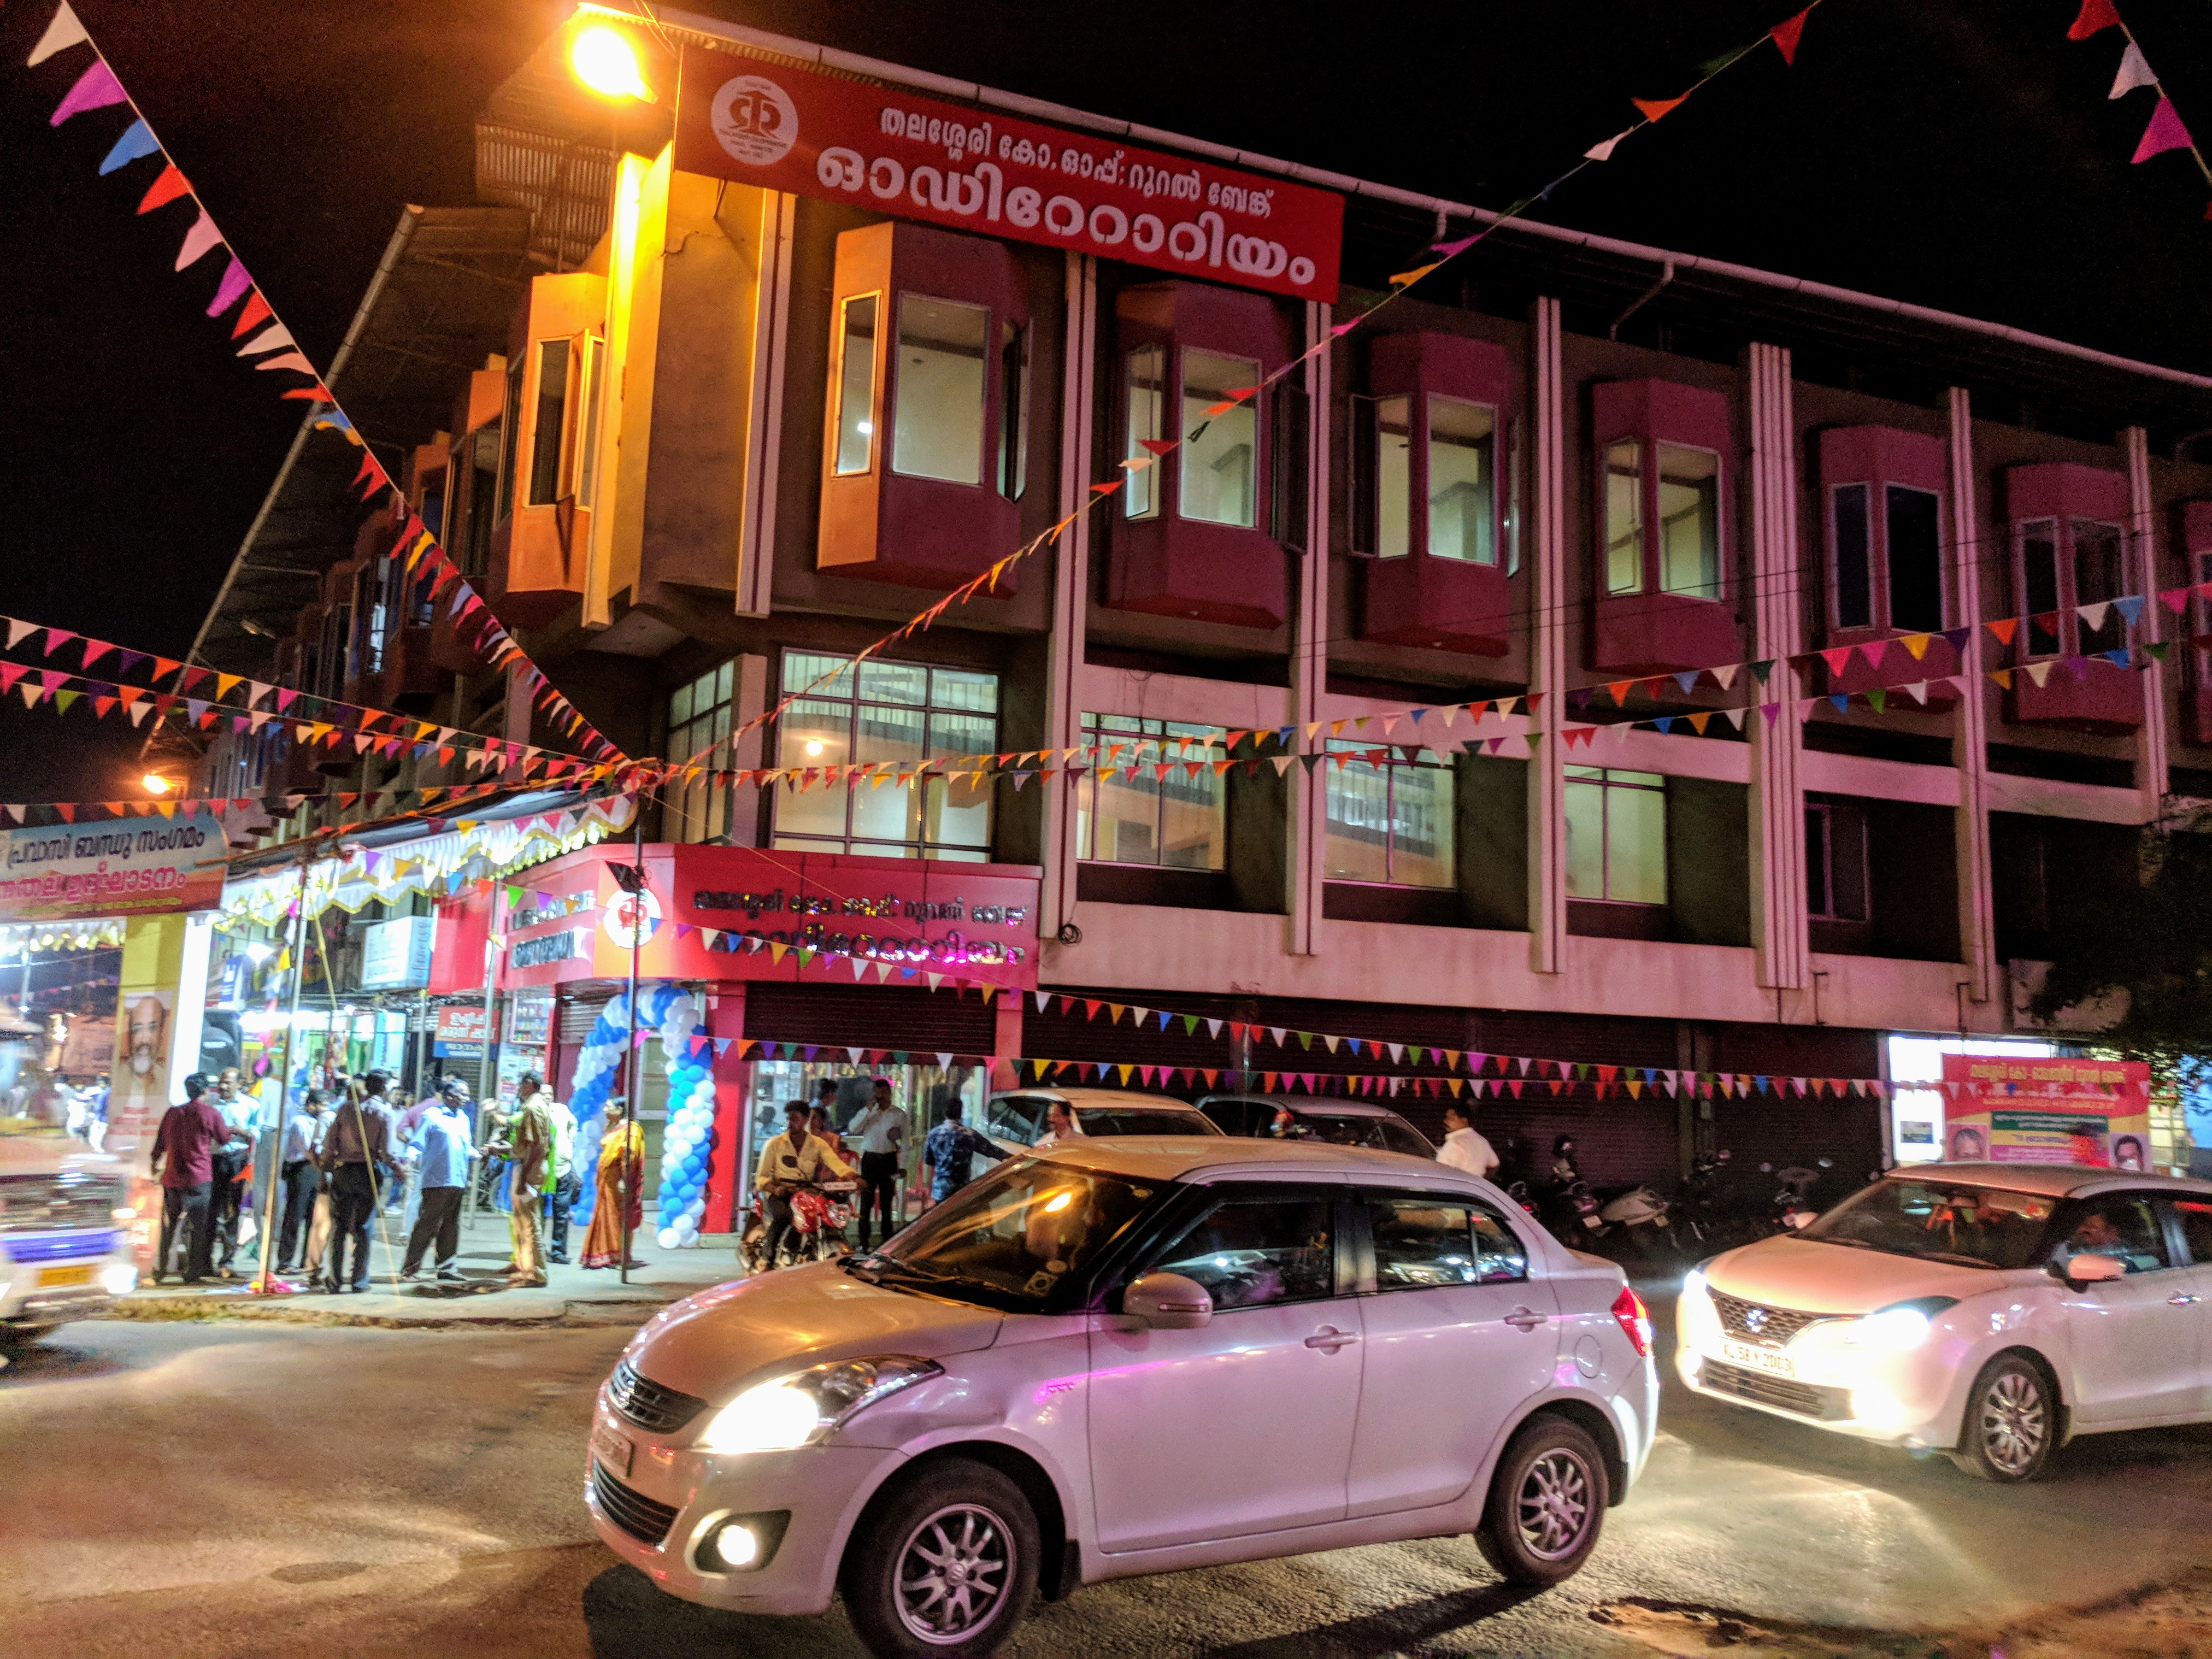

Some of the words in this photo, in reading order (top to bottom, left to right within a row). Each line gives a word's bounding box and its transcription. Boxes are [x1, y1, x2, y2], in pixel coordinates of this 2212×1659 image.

[876, 98, 993, 164] തലശ്ശേരി
[996, 131, 1062, 175] കോ.
[812, 142, 1322, 288] ഓഡിറേറാറിയം
[1061, 136, 1129, 190] ഓപ്പ്:
[1123, 159, 1206, 207] റൂറൽ
[1201, 175, 1277, 219] ബേങ്ക്
[3, 829, 73, 870] പ്രവാസി
[71, 828, 134, 861] ബഡു
[133, 821, 207, 856] സംഗമം
[0, 857, 191, 903] നതലഉദ്‌ഘാടനം
[688, 883, 786, 923] തലശ്ശേരി
[786, 888, 901, 927] കോ.ഓപ്പ്:
[899, 891, 967, 927] റൂറൽ
[967, 901, 1032, 927] ബേങ്ക്
[703, 915, 1029, 971] ഓഡിറേറാറിയം